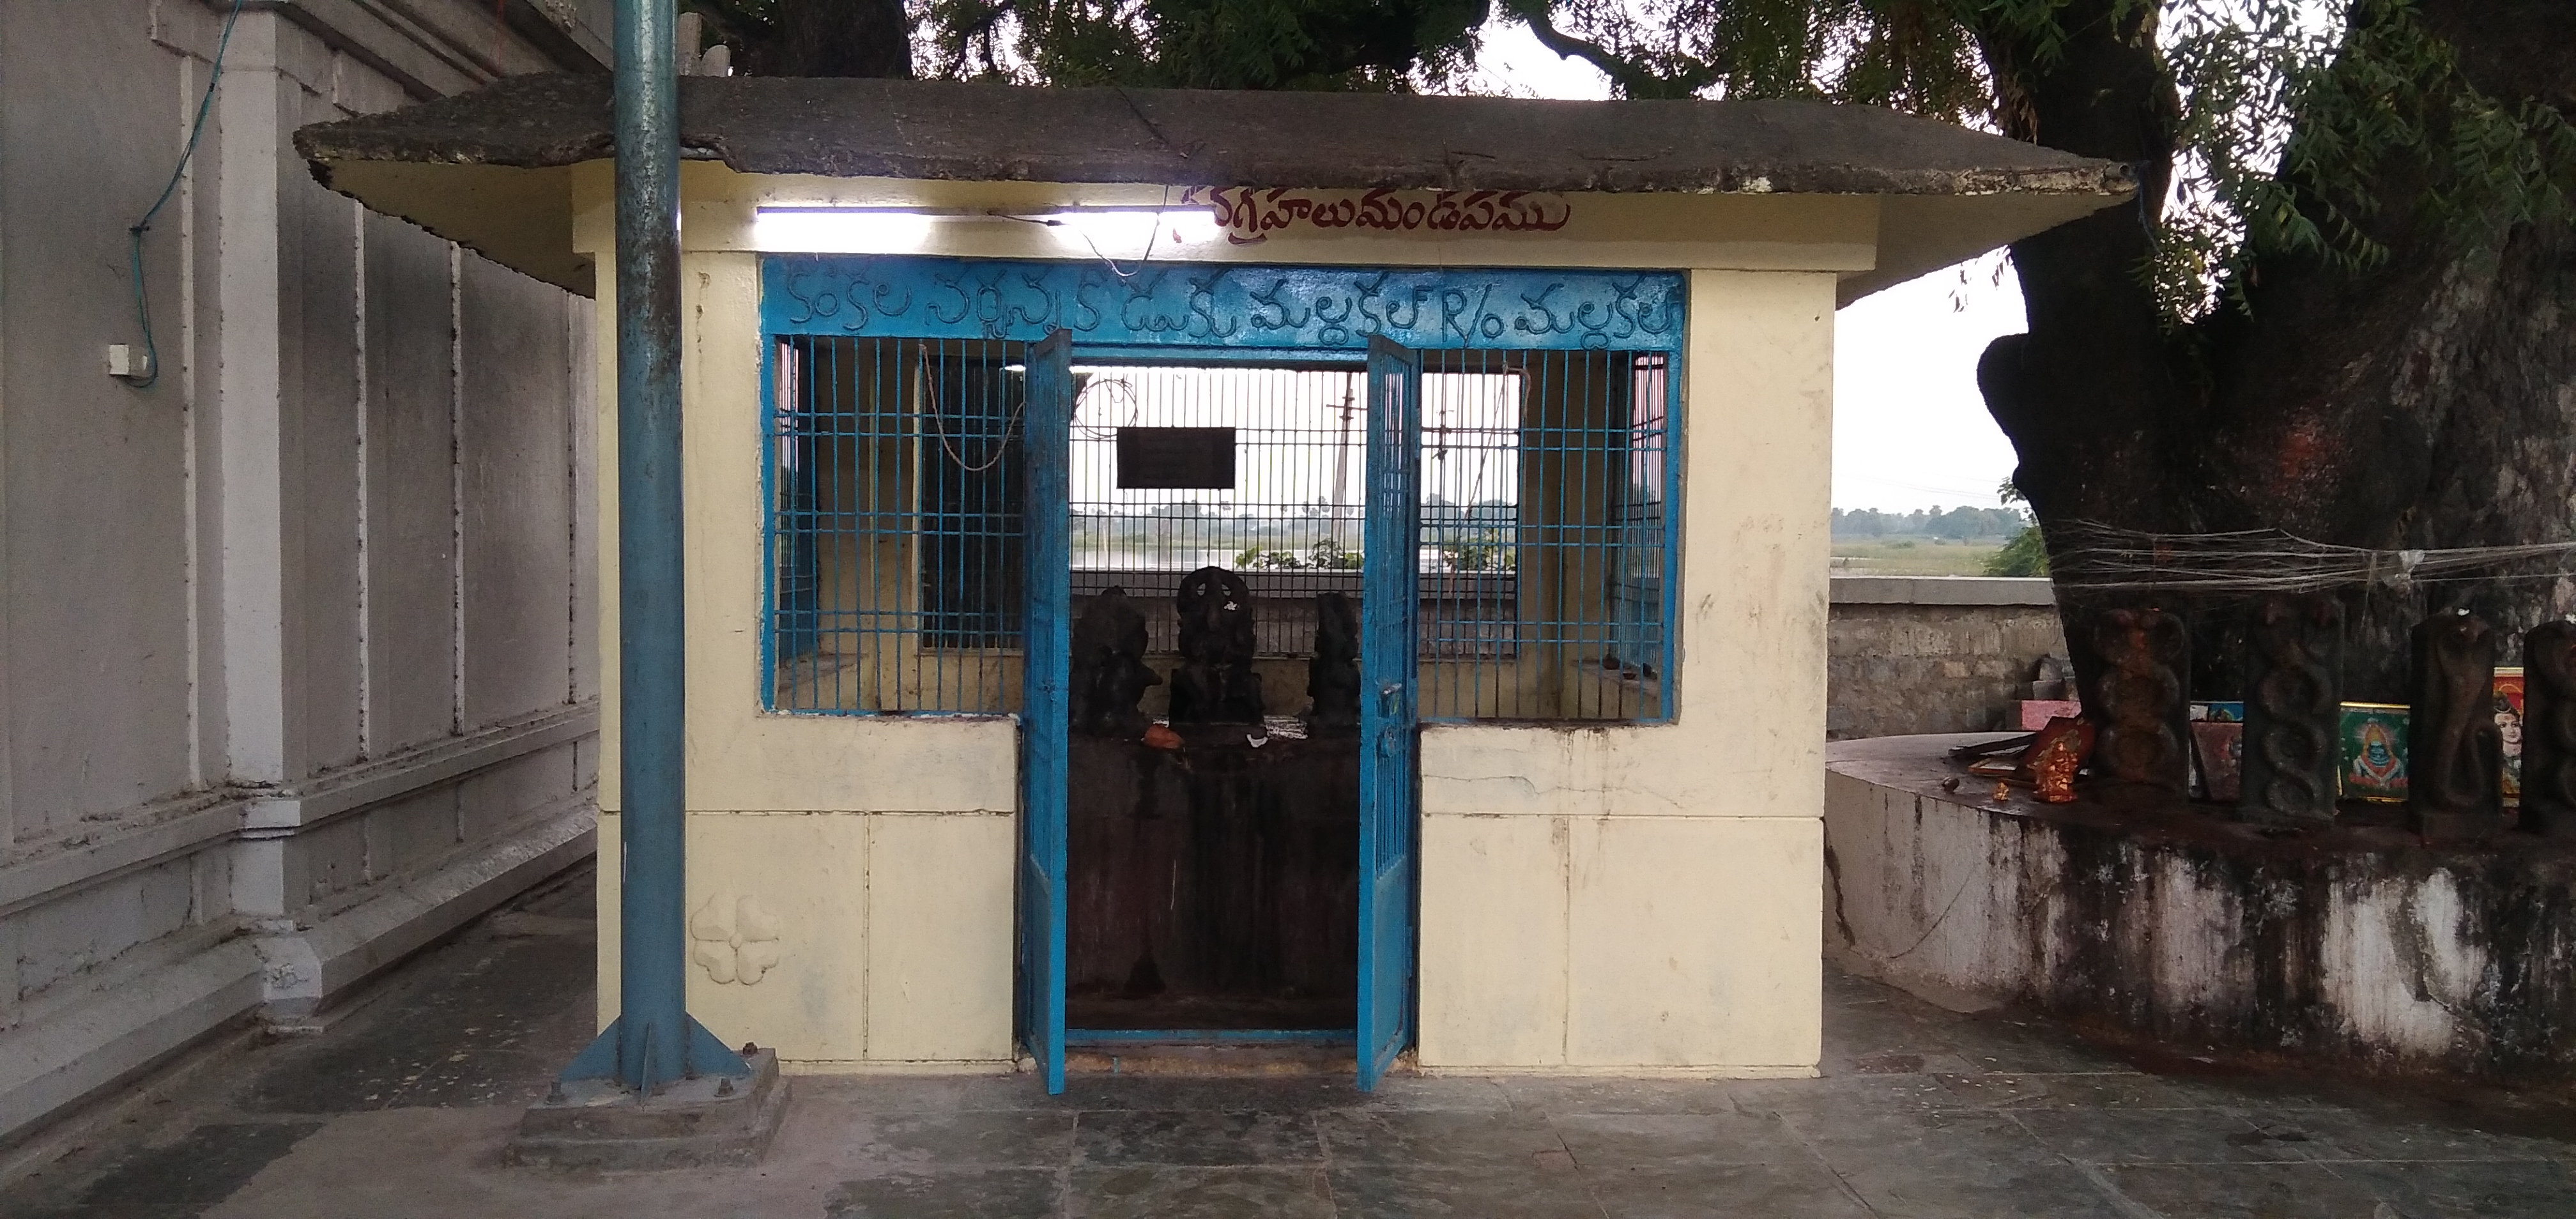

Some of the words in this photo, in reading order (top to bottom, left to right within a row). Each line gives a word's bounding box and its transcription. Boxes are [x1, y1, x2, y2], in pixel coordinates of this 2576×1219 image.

[1205, 180, 1582, 248] నగ్రహలుమండపము
[914, 255, 1119, 346] నర్సన్నకి
[1109, 256, 1244, 344] డుకు
[1244, 266, 1438, 349] మల్దకల్
[1437, 282, 1508, 350] R/o
[1514, 272, 1688, 355] మల్లకల